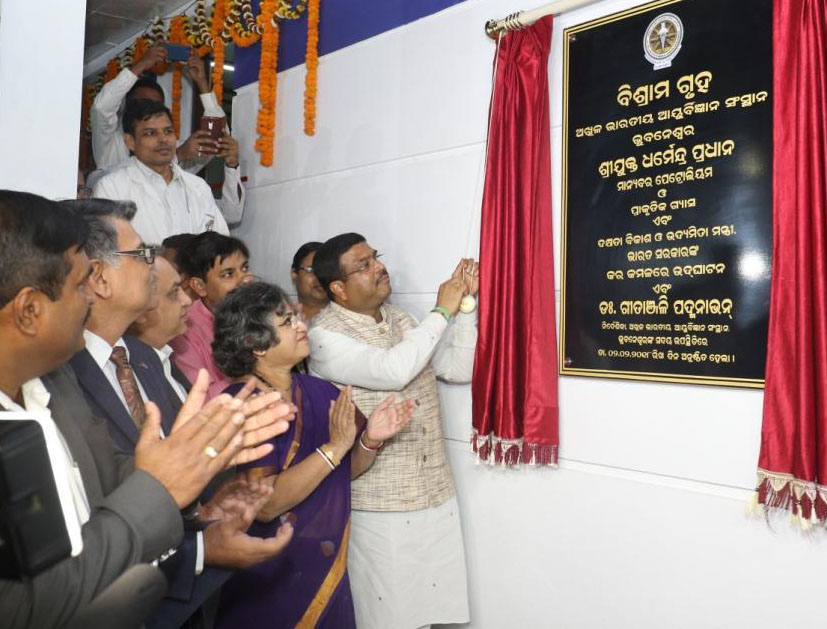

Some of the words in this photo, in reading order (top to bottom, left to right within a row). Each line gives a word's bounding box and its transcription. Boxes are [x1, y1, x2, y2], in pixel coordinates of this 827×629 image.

[570, 118, 605, 143] ଅଖୁଳ
[599, 107, 659, 139] ଭାରତୀୟ
[604, 72, 675, 113] ବିଶ୍ରାମ
[626, 118, 699, 152] ଭୁବନେଶ୍ବର
[651, 94, 726, 128] ଆୟୁର୍ବିଜ୍ଞାନ
[672, 65, 719, 104] ଗୃହ
[719, 83, 774, 115] ସଂସ୍ଥାନ
[594, 151, 643, 183] ଶ୍ରୀଯୁକ୍ତ
[608, 163, 656, 195] ମାନ୍ୟବର
[634, 136, 693, 175] ଧର୍ମେନ୍ଦ୍ର
[652, 161, 717, 189] ପେଟ୍ରୋଲିୟମ
[687, 131, 739, 171] ପ୍ରଧାନ
[626, 193, 672, 222] ପ୍ରାକୃତିକ
[665, 193, 703, 213] ଗ୍ୟାସ
[592, 231, 627, 255] ଦକ୍ଷତା
[617, 223, 656, 248] ବିକାଶ
[602, 265, 672, 284] କର କମଳରେ
[619, 244, 657, 268] ଭାରତ
[641, 277, 679, 299] ଏବଂ
[647, 207, 679, 237] ଏବଂ
[651, 239, 706, 261] ସରକାରଙ୍କ
[661, 219, 712, 243] ଉଦ୍ୟମିତା
[667, 257, 733, 280] ଉଦ୍‌ଘାଟନ
[706, 219, 740, 239] ମନ୍ତ୍ରୀ,
[593, 296, 621, 318] ଡଃ.
[617, 286, 675, 320] ଗୀତାଞ୍ଜଳି
[670, 295, 739, 323] ପଦ୍ମନାଭନ୍
[589, 341, 651, 362] ତା.୦୨.୦୨.୨୦୧୮
[660, 343, 711, 370] ଦିନ ଅନୁଷ୍ଠିତ
[669, 325, 713, 352] ଉପସ୍ଥିତିରେ
[703, 321, 735, 336] ସଂସ୍ଥାନ
[704, 348, 741, 367] ହେଲା।